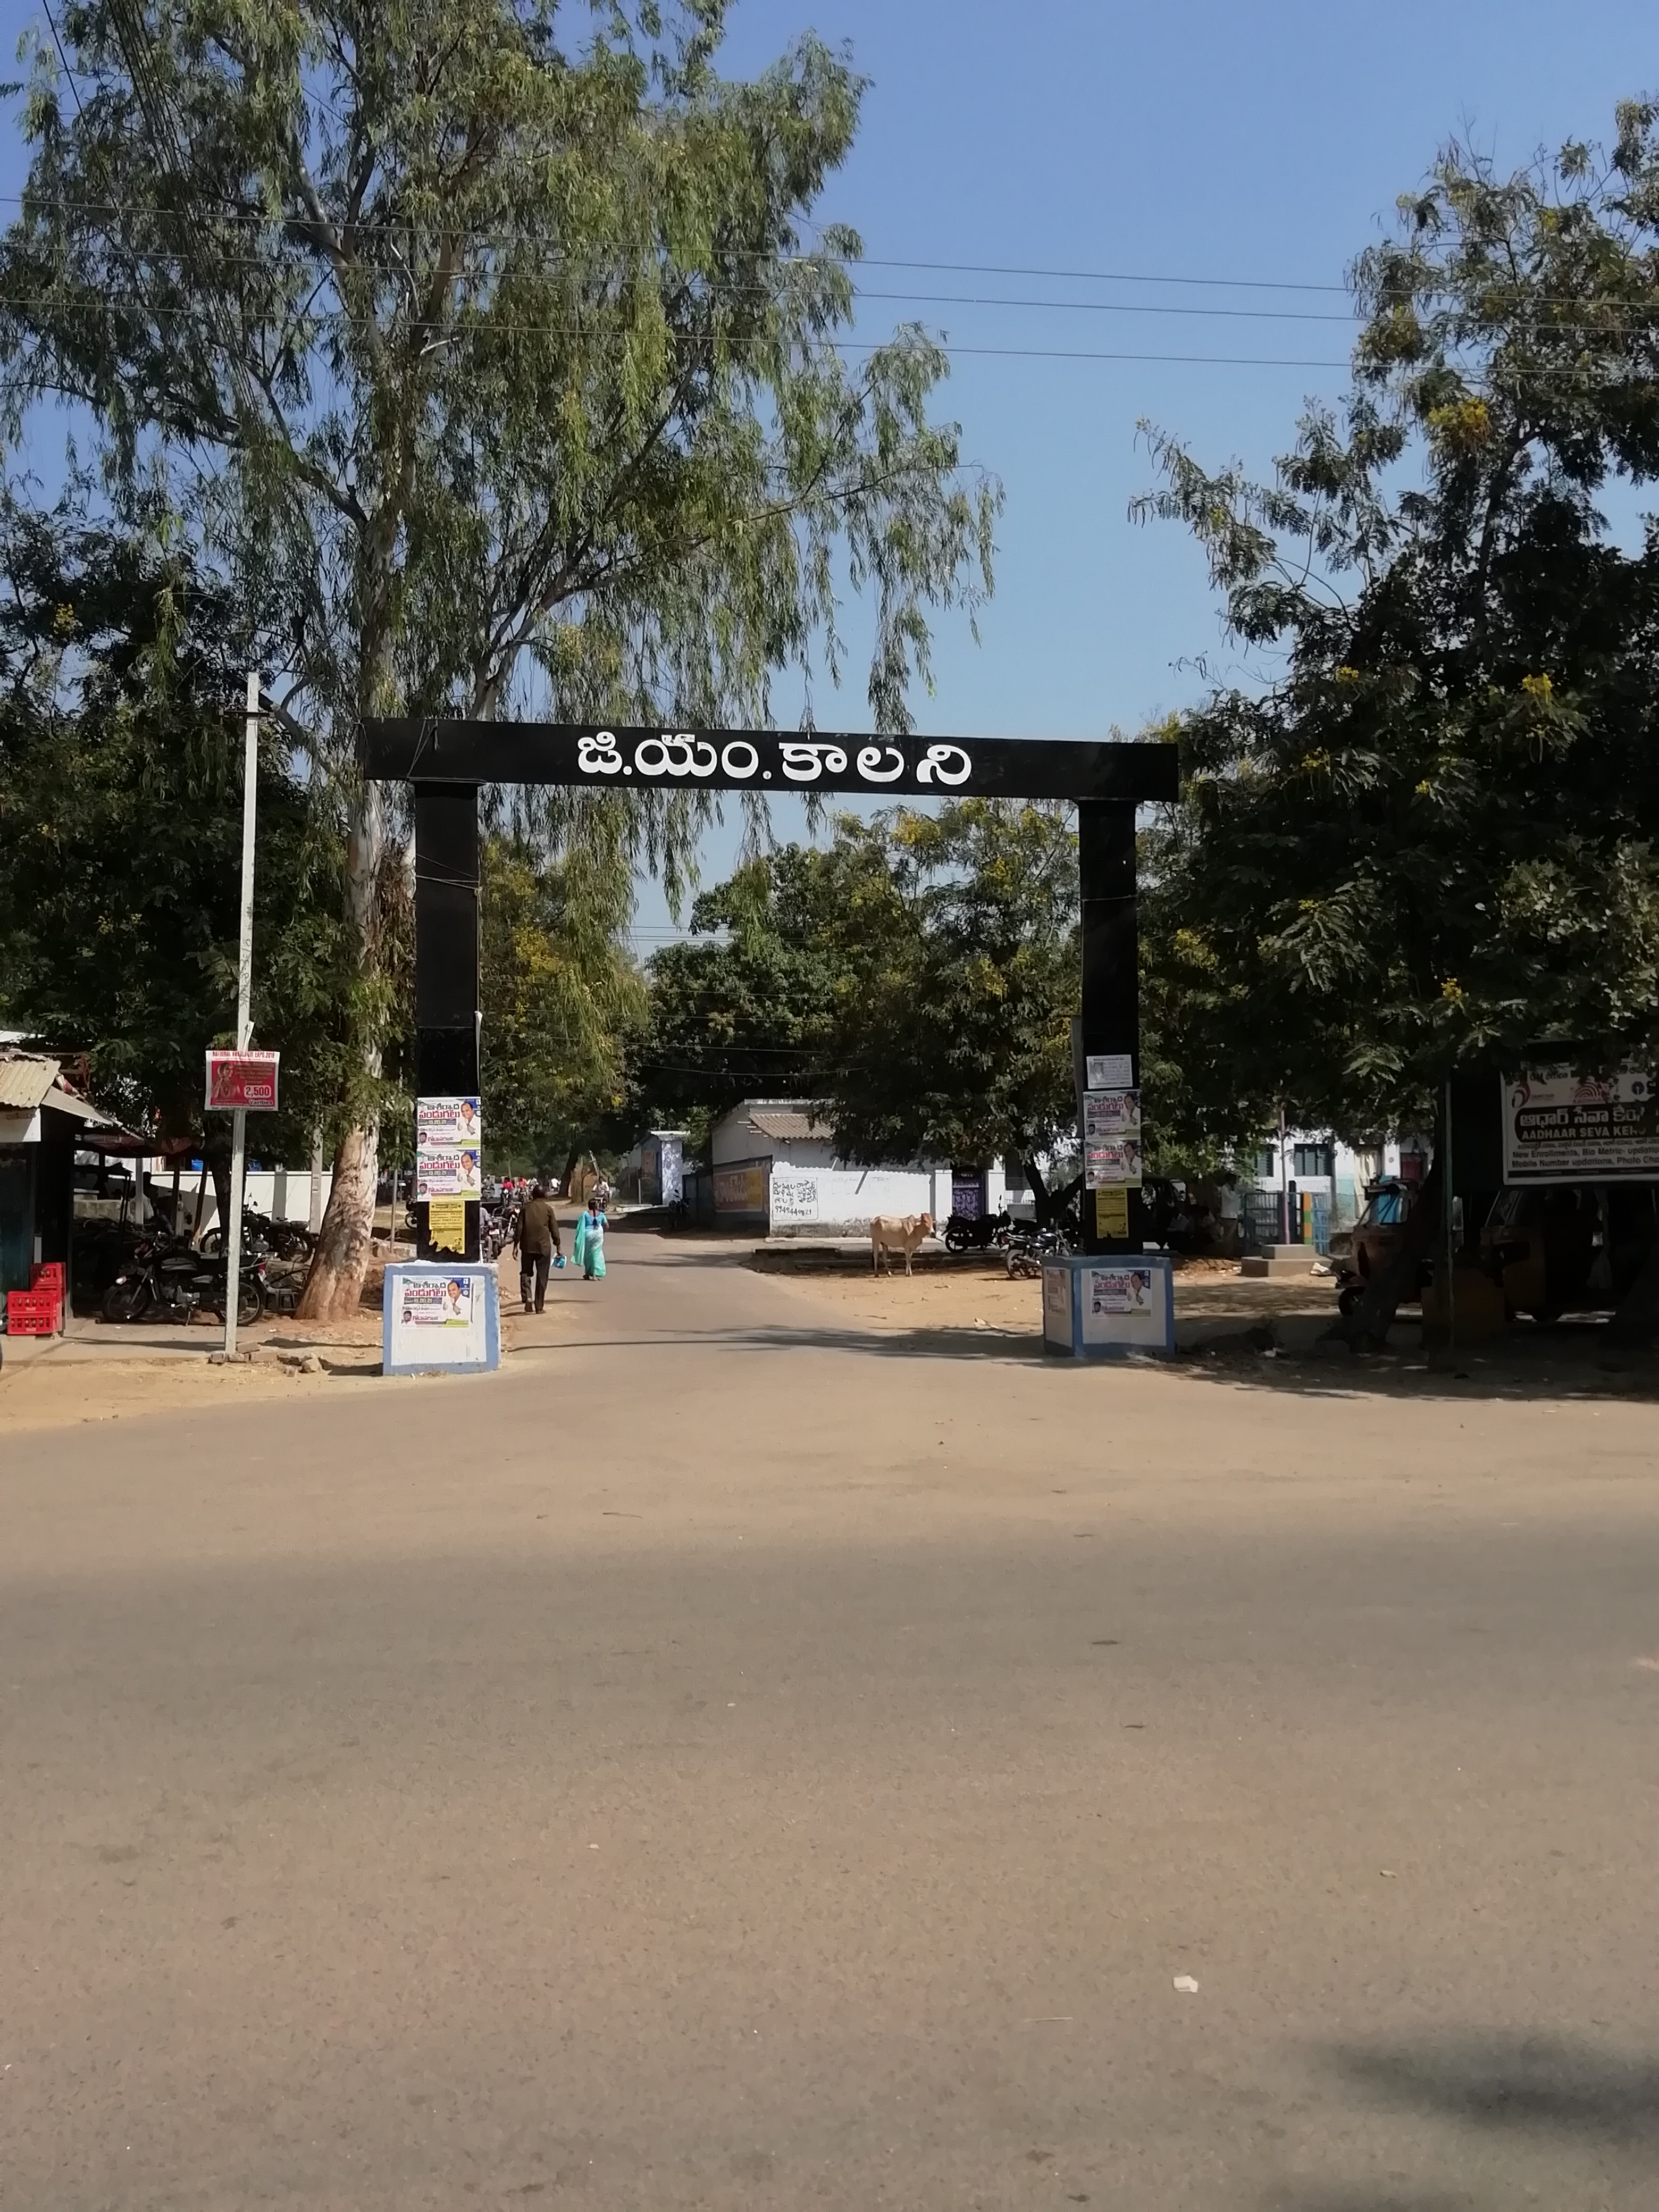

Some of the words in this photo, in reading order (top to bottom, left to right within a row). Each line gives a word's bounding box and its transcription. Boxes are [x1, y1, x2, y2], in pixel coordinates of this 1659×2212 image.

[571, 725, 635, 779] జి.
[633, 728, 762, 783] యం
[776, 740, 974, 790] కాలని
[415, 1107, 462, 1120] పండుగలు
[424, 1100, 462, 1113] ఆశీర్వాద
[1082, 1101, 1127, 1114] పండుగలు
[1514, 1104, 1572, 1132] ఆధార్
[1570, 1102, 1612, 1128] సేవా
[1609, 1096, 1648, 1127] కెండ్
[1519, 1128, 1579, 1142] AADHAAR
[1577, 1126, 1612, 1141] SEVA
[416, 1159, 463, 1170] పండుగలు
[425, 1150, 462, 1163] ఆశీర్వాద
[1083, 1147, 1125, 1160] పండుగలు
[1509, 1149, 1531, 1161] New
[1511, 1158, 1540, 1171] Mobile
[1536, 1157, 1571, 1169] Number
[1529, 1147, 1580, 1162] Enrollments,
[1579, 1145, 1598, 1158] Bio
[1571, 1154, 1614, 1168] updations.
[1595, 1142, 1624, 1158] Metric
[1614, 1155, 1645, 1167] Photo